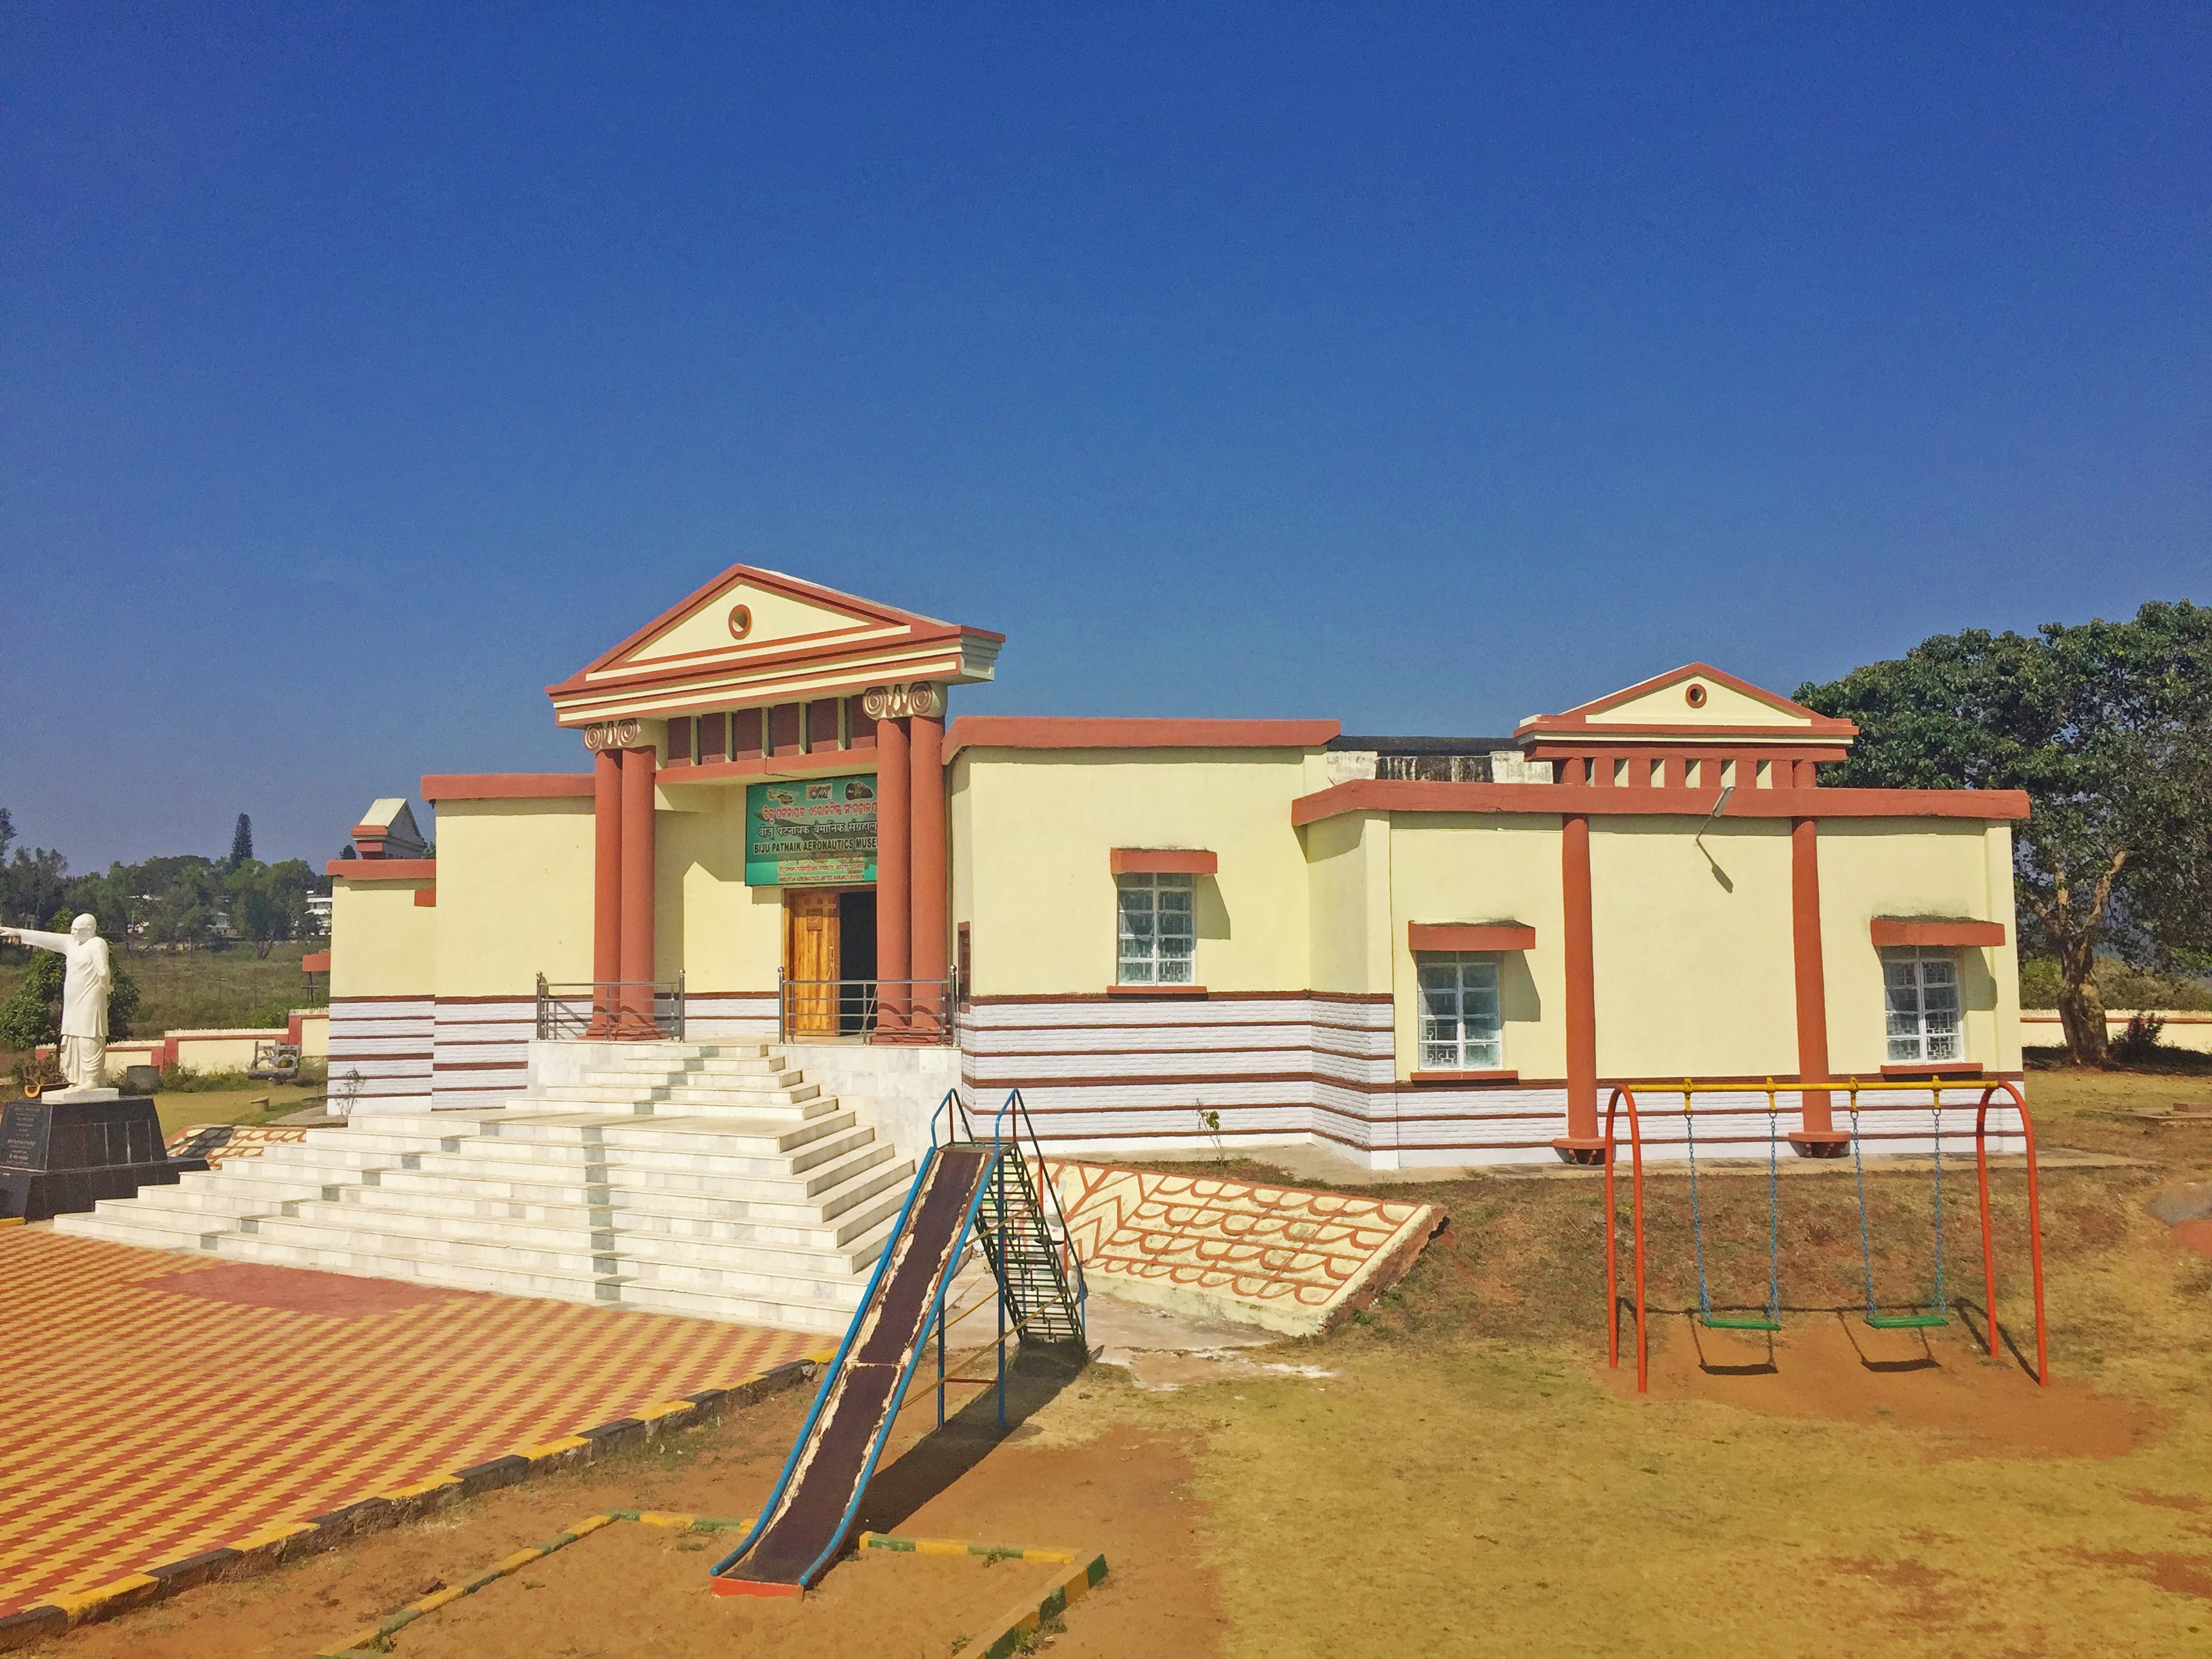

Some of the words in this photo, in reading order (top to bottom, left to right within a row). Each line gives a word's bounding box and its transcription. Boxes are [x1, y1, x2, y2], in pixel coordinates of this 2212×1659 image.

[758, 800, 810, 827] ବିଜୁ ପଟ୍ଟନାୟକ
[806, 798, 845, 819] ଏରୋନଟିକ୍ସ
[842, 798, 882, 817] ସଂଗ୍ରହାଳୟ
[752, 820, 779, 842] वीजू
[773, 823, 815, 837] पटनायक
[810, 817, 847, 836] वैमानिक
[842, 817, 882, 835] संग्रहाल
[750, 842, 773, 859] BIJU
[767, 838, 803, 856] PATNAIK
[801, 833, 856, 854] AERONAUTICS